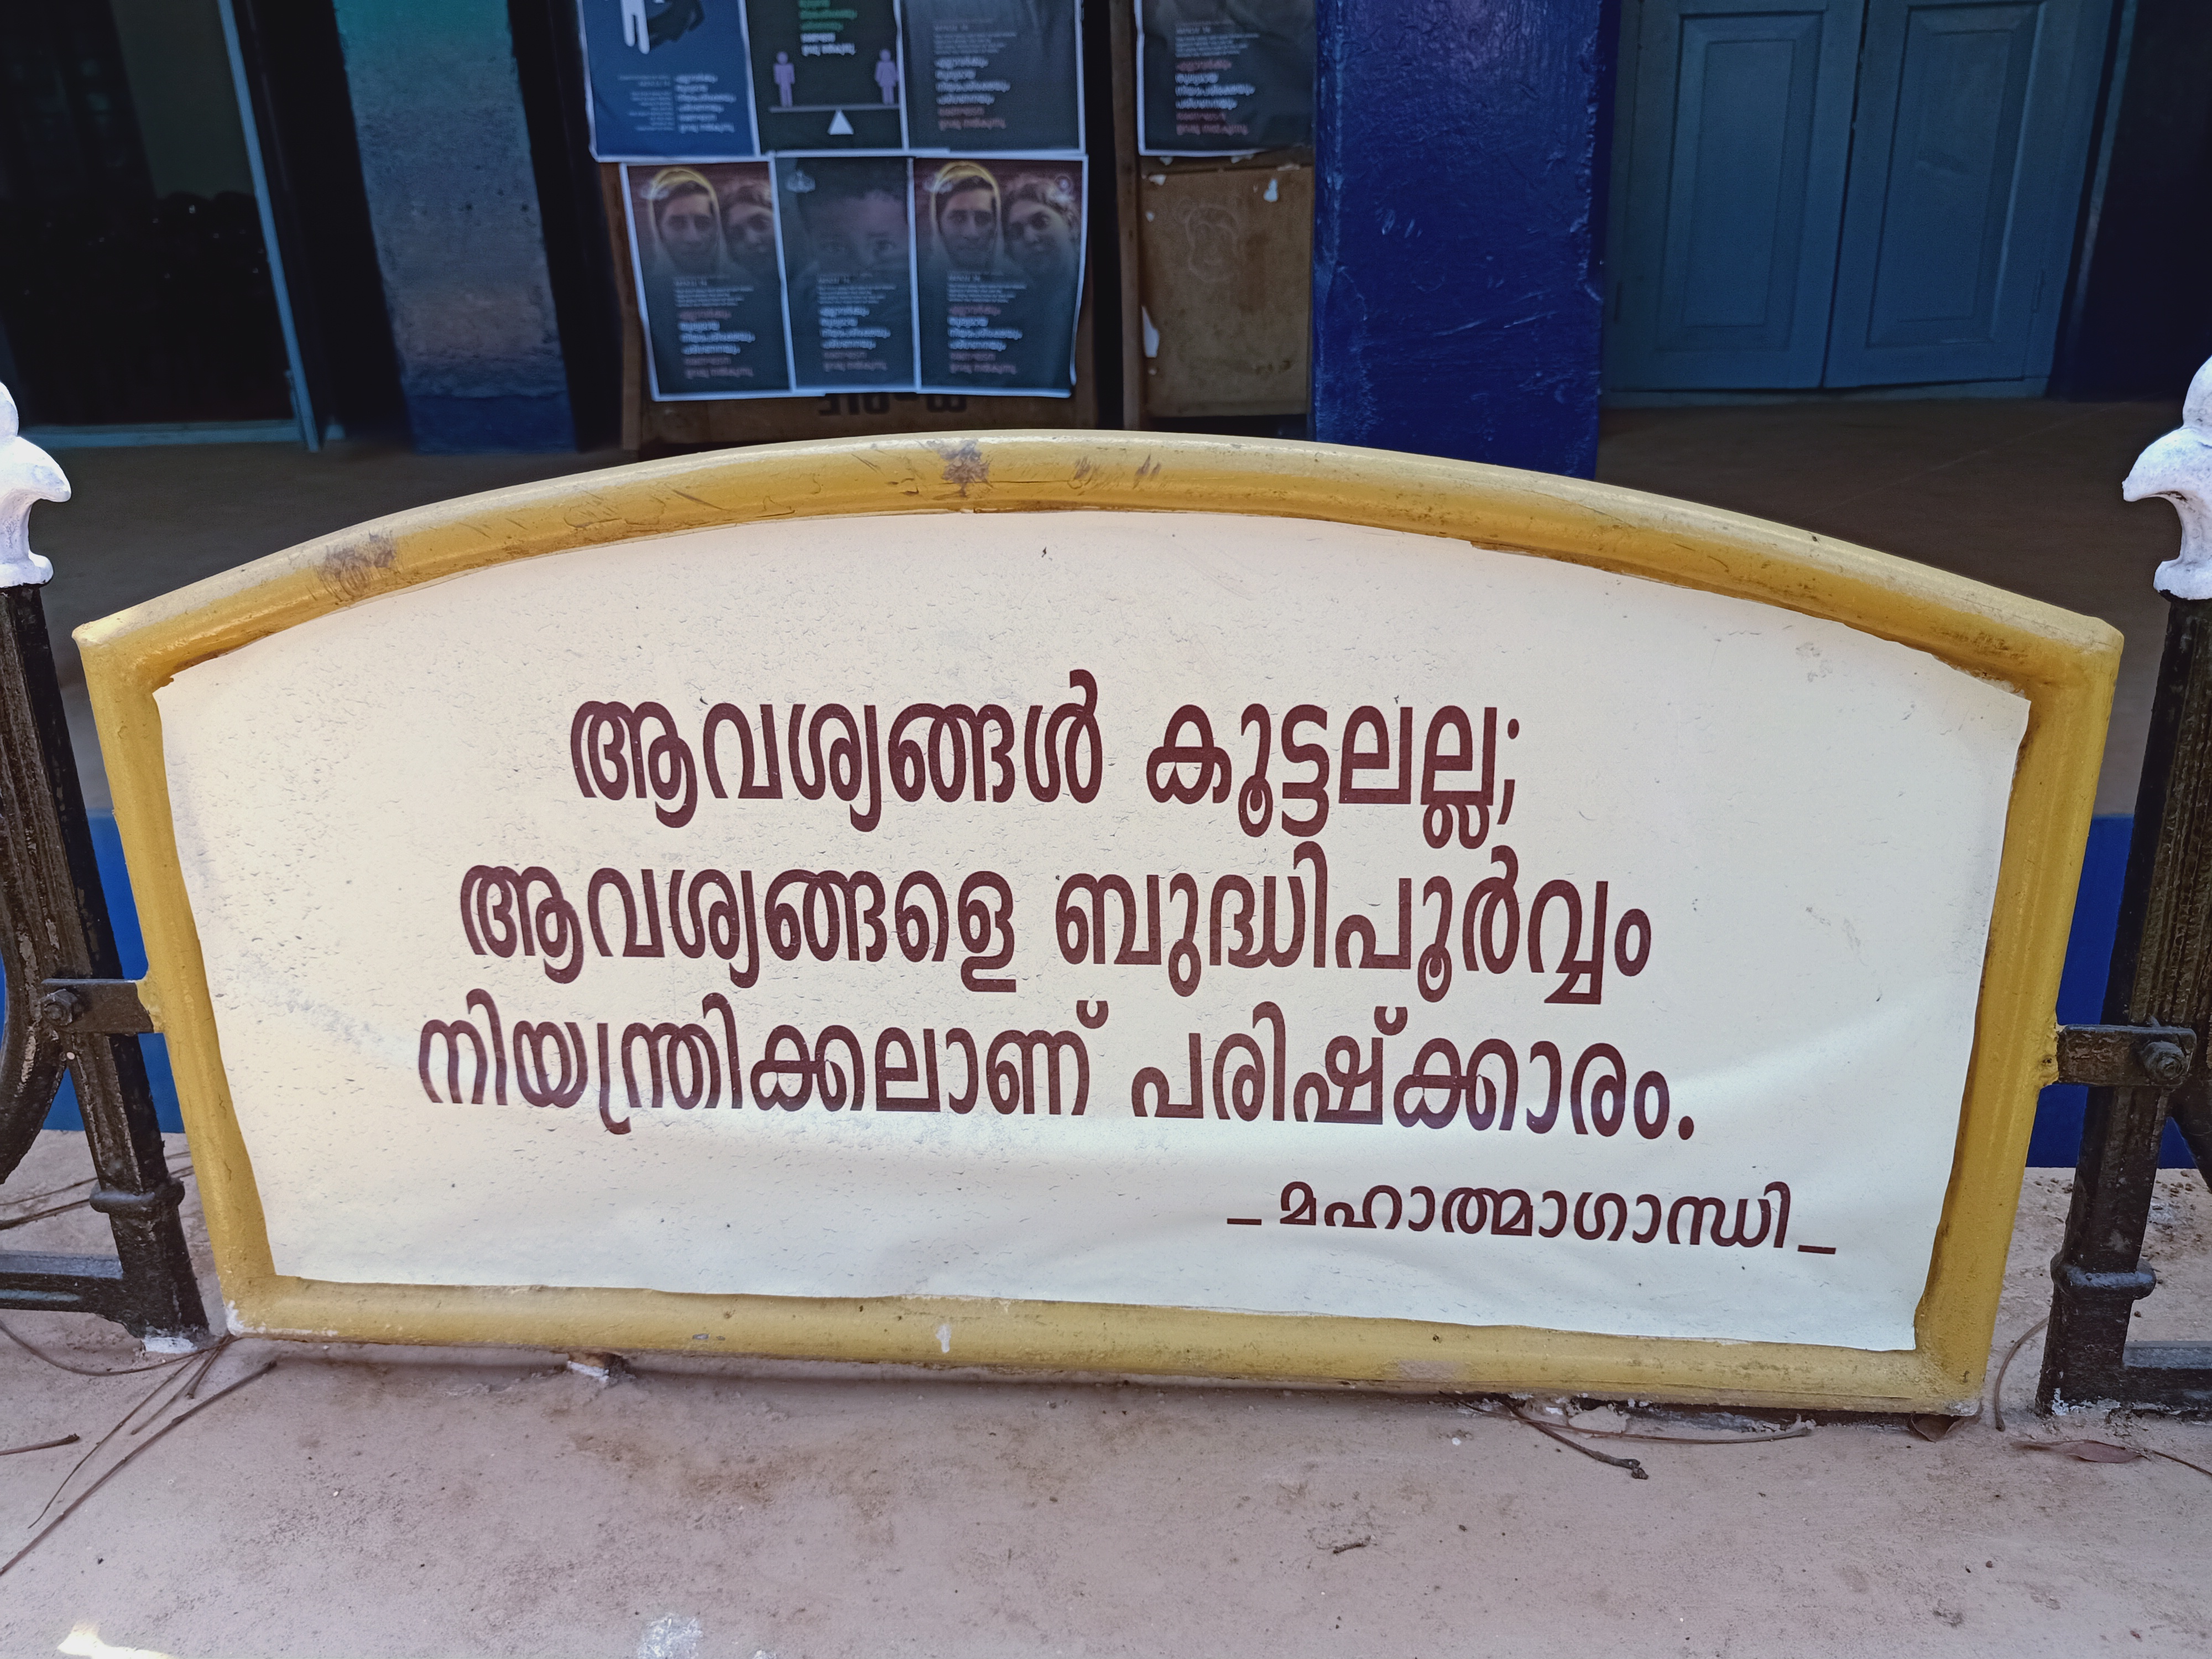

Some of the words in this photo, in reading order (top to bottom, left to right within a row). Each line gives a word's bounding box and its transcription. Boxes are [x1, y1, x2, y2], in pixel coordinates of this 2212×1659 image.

[564, 660, 1107, 836] ആവശ്യങ്ങൾ
[1136, 696, 1525, 852] കൂട്ടലല്ല;
[457, 860, 1019, 994] ആവശ്യങ്ങളെ
[1050, 836, 1656, 1009] ബുദ്ധിപൂർവ്വം
[413, 977, 1115, 1142] നിയന്ത്രിക്കലാണ്
[1123, 993, 1696, 1142] പരിഷ്‌ക്കാരം
[1272, 1176, 1795, 1252] മഹാത്മാഗാന്ധി